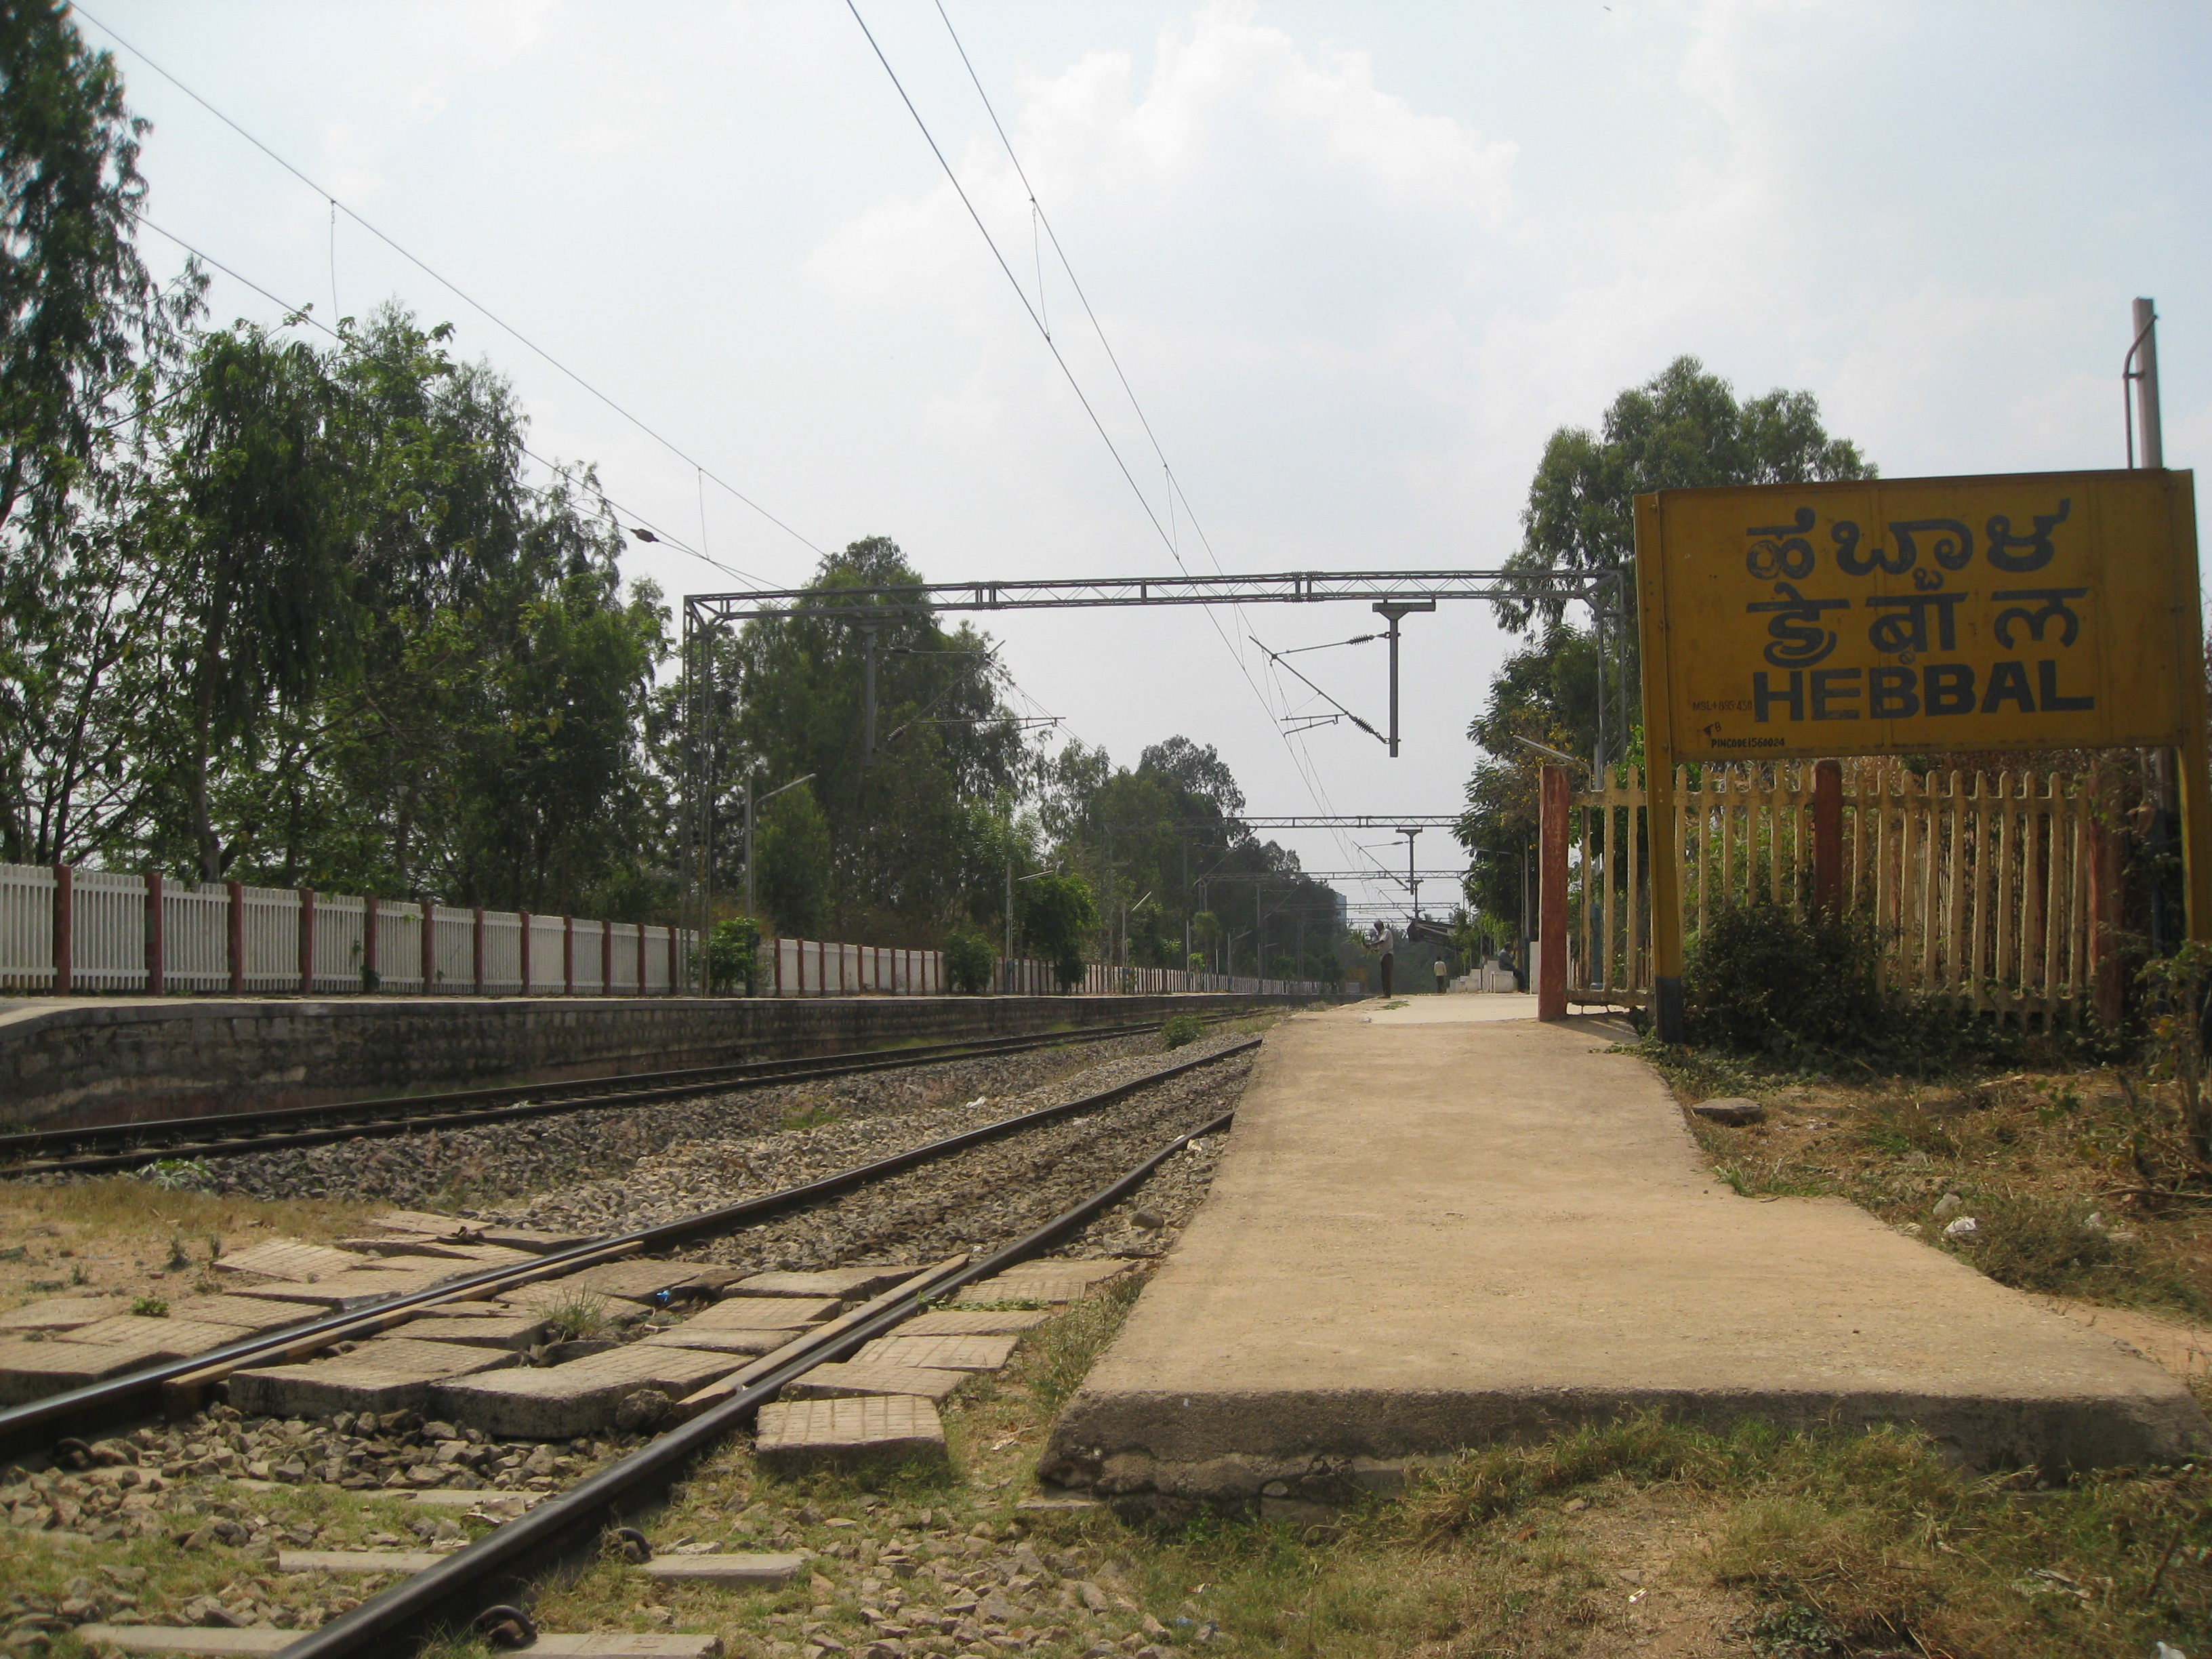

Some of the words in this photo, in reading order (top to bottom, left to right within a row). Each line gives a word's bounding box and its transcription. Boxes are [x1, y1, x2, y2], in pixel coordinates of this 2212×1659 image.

[1744, 494, 2073, 593] ಹೆಬ್ಬಾಳ
[1745, 576, 2090, 672] हेबाल
[1749, 655, 2095, 725] HEBBAL
[1707, 734, 1786, 750] PINCODE1560024